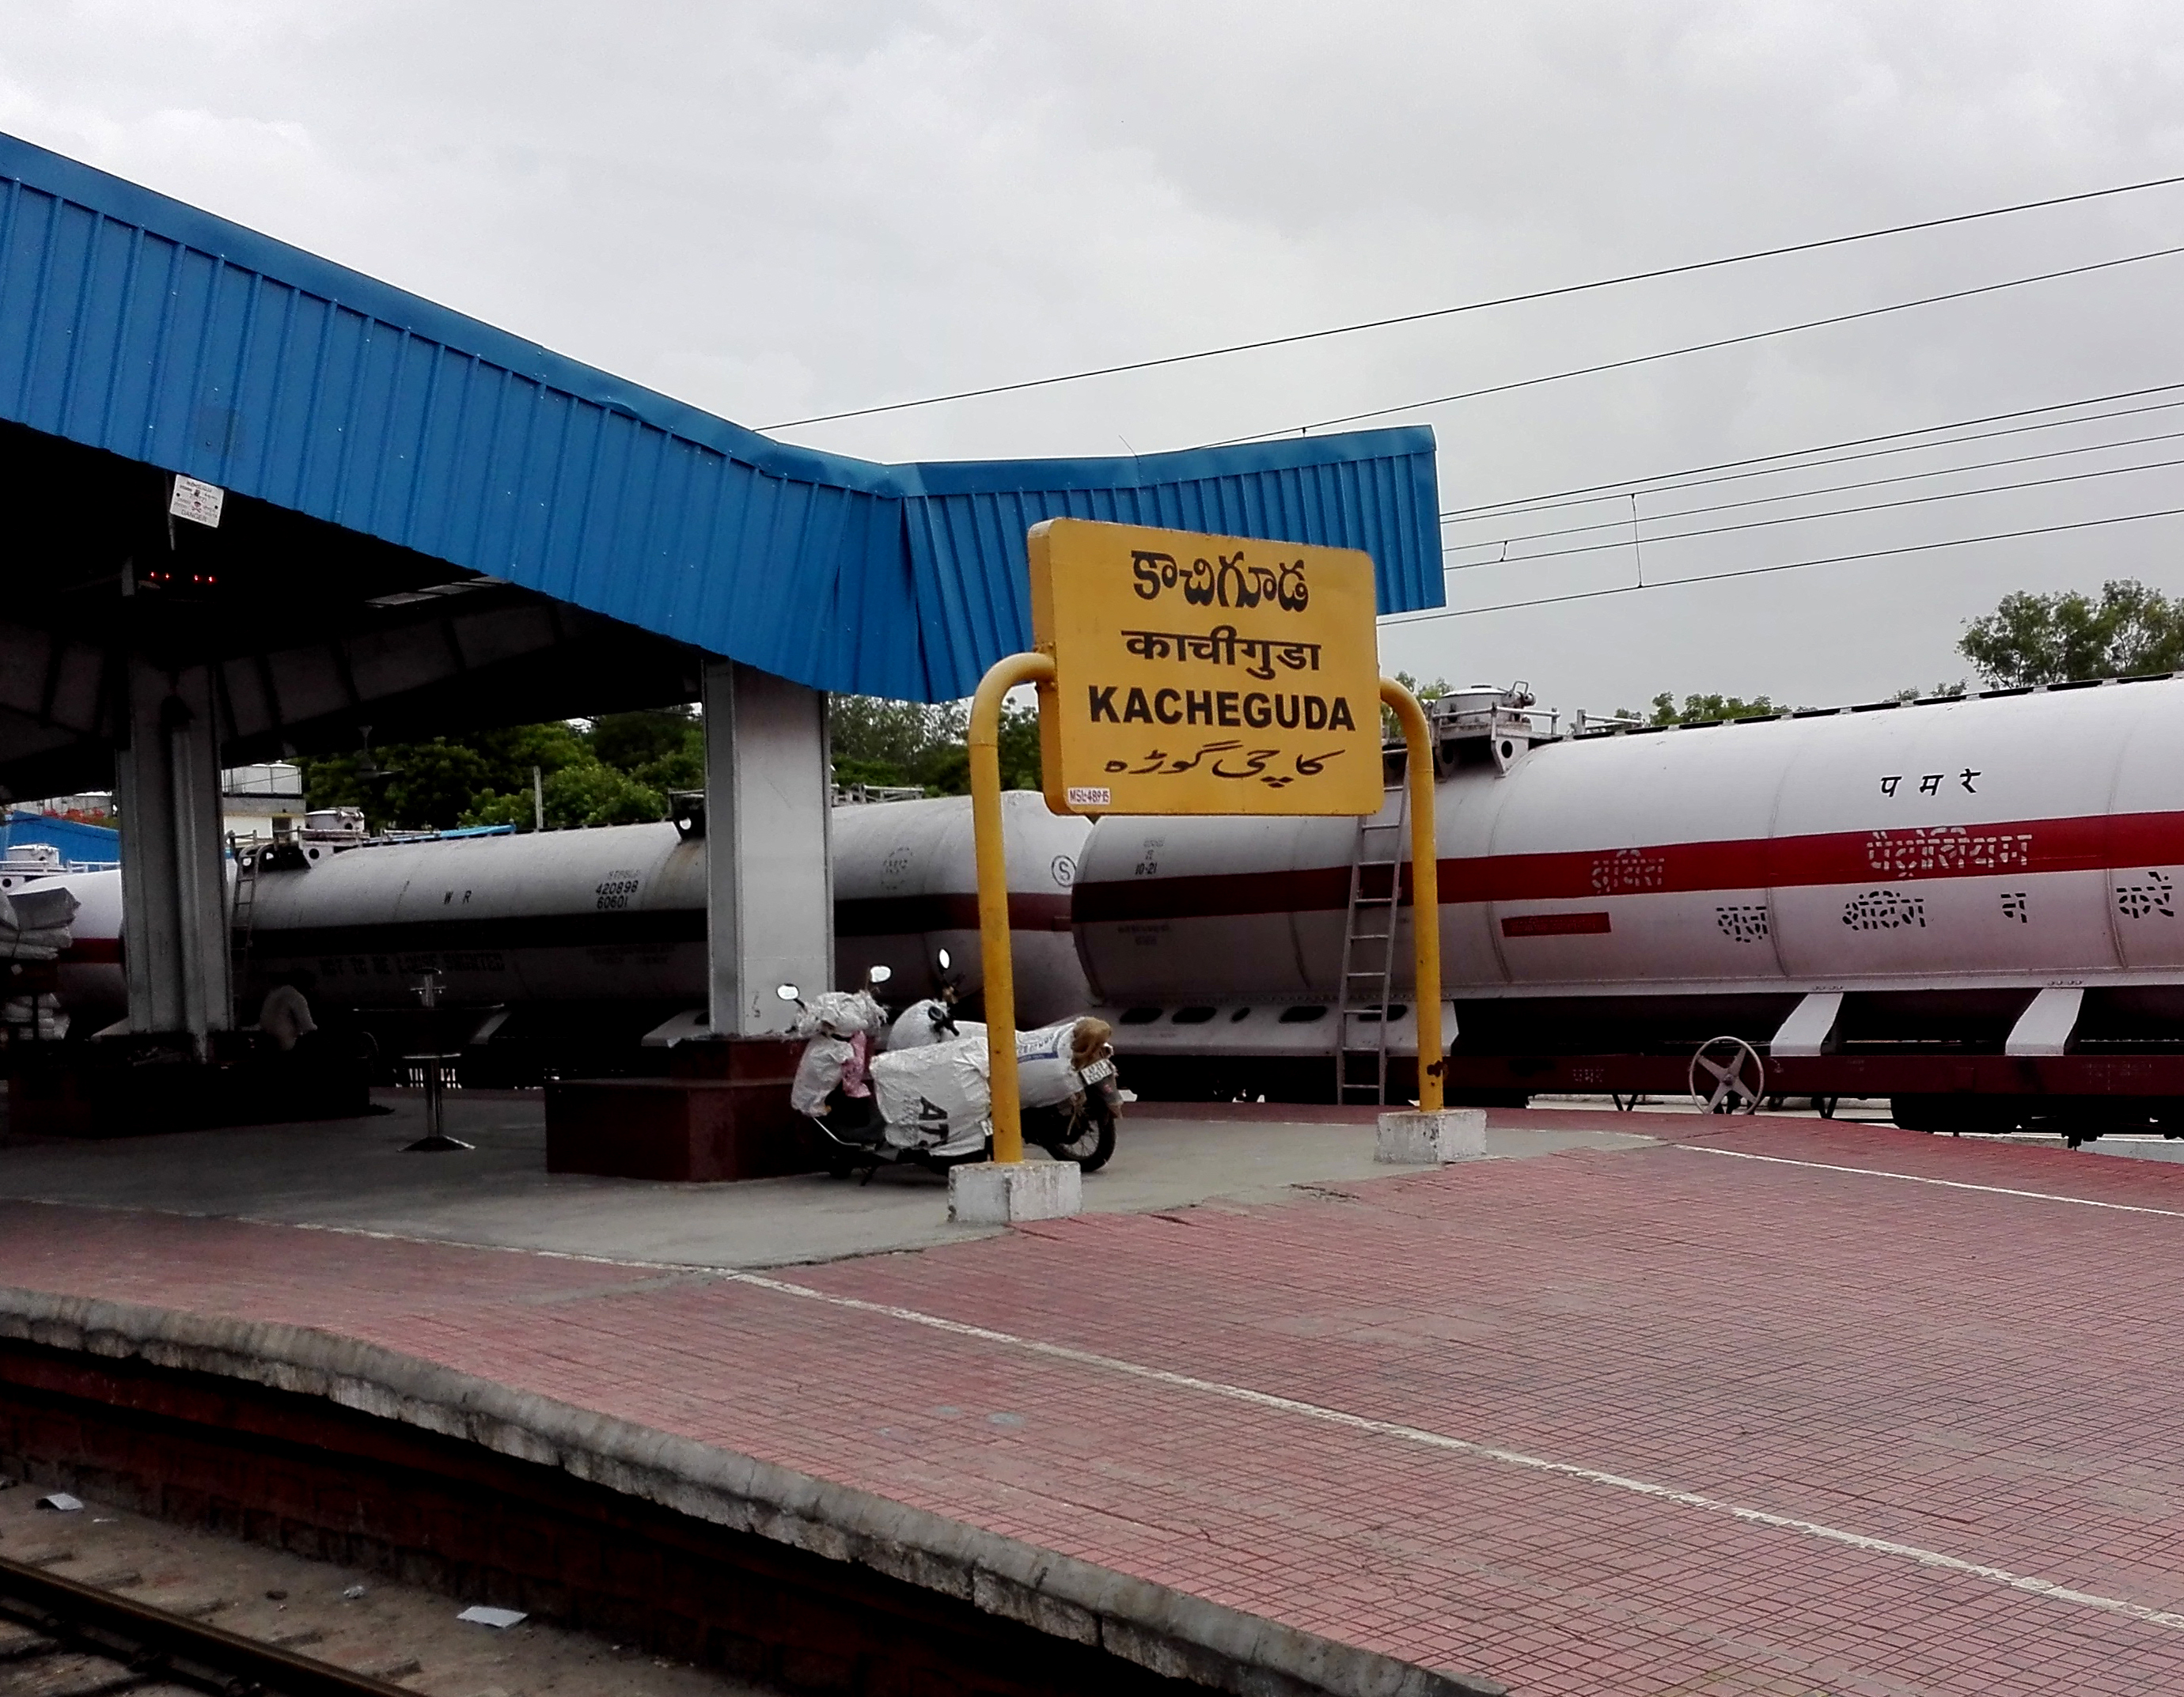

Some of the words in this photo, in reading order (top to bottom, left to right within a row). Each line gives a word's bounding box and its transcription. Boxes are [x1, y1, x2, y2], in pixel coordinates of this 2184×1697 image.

[1130, 544, 1318, 617] కాచిగూడ
[1118, 619, 1326, 685] काचीगुडा
[1083, 682, 1360, 737] KACHEGUDA
[1872, 767, 1981, 800] प म रे
[1583, 837, 1666, 898] दूषित
[1715, 896, 1775, 950] लूज
[1836, 885, 1932, 938] शंटिग
[1858, 813, 2037, 883] पेट्रोलियम
[1991, 883, 2038, 930] न
[2091, 851, 2181, 926] करें